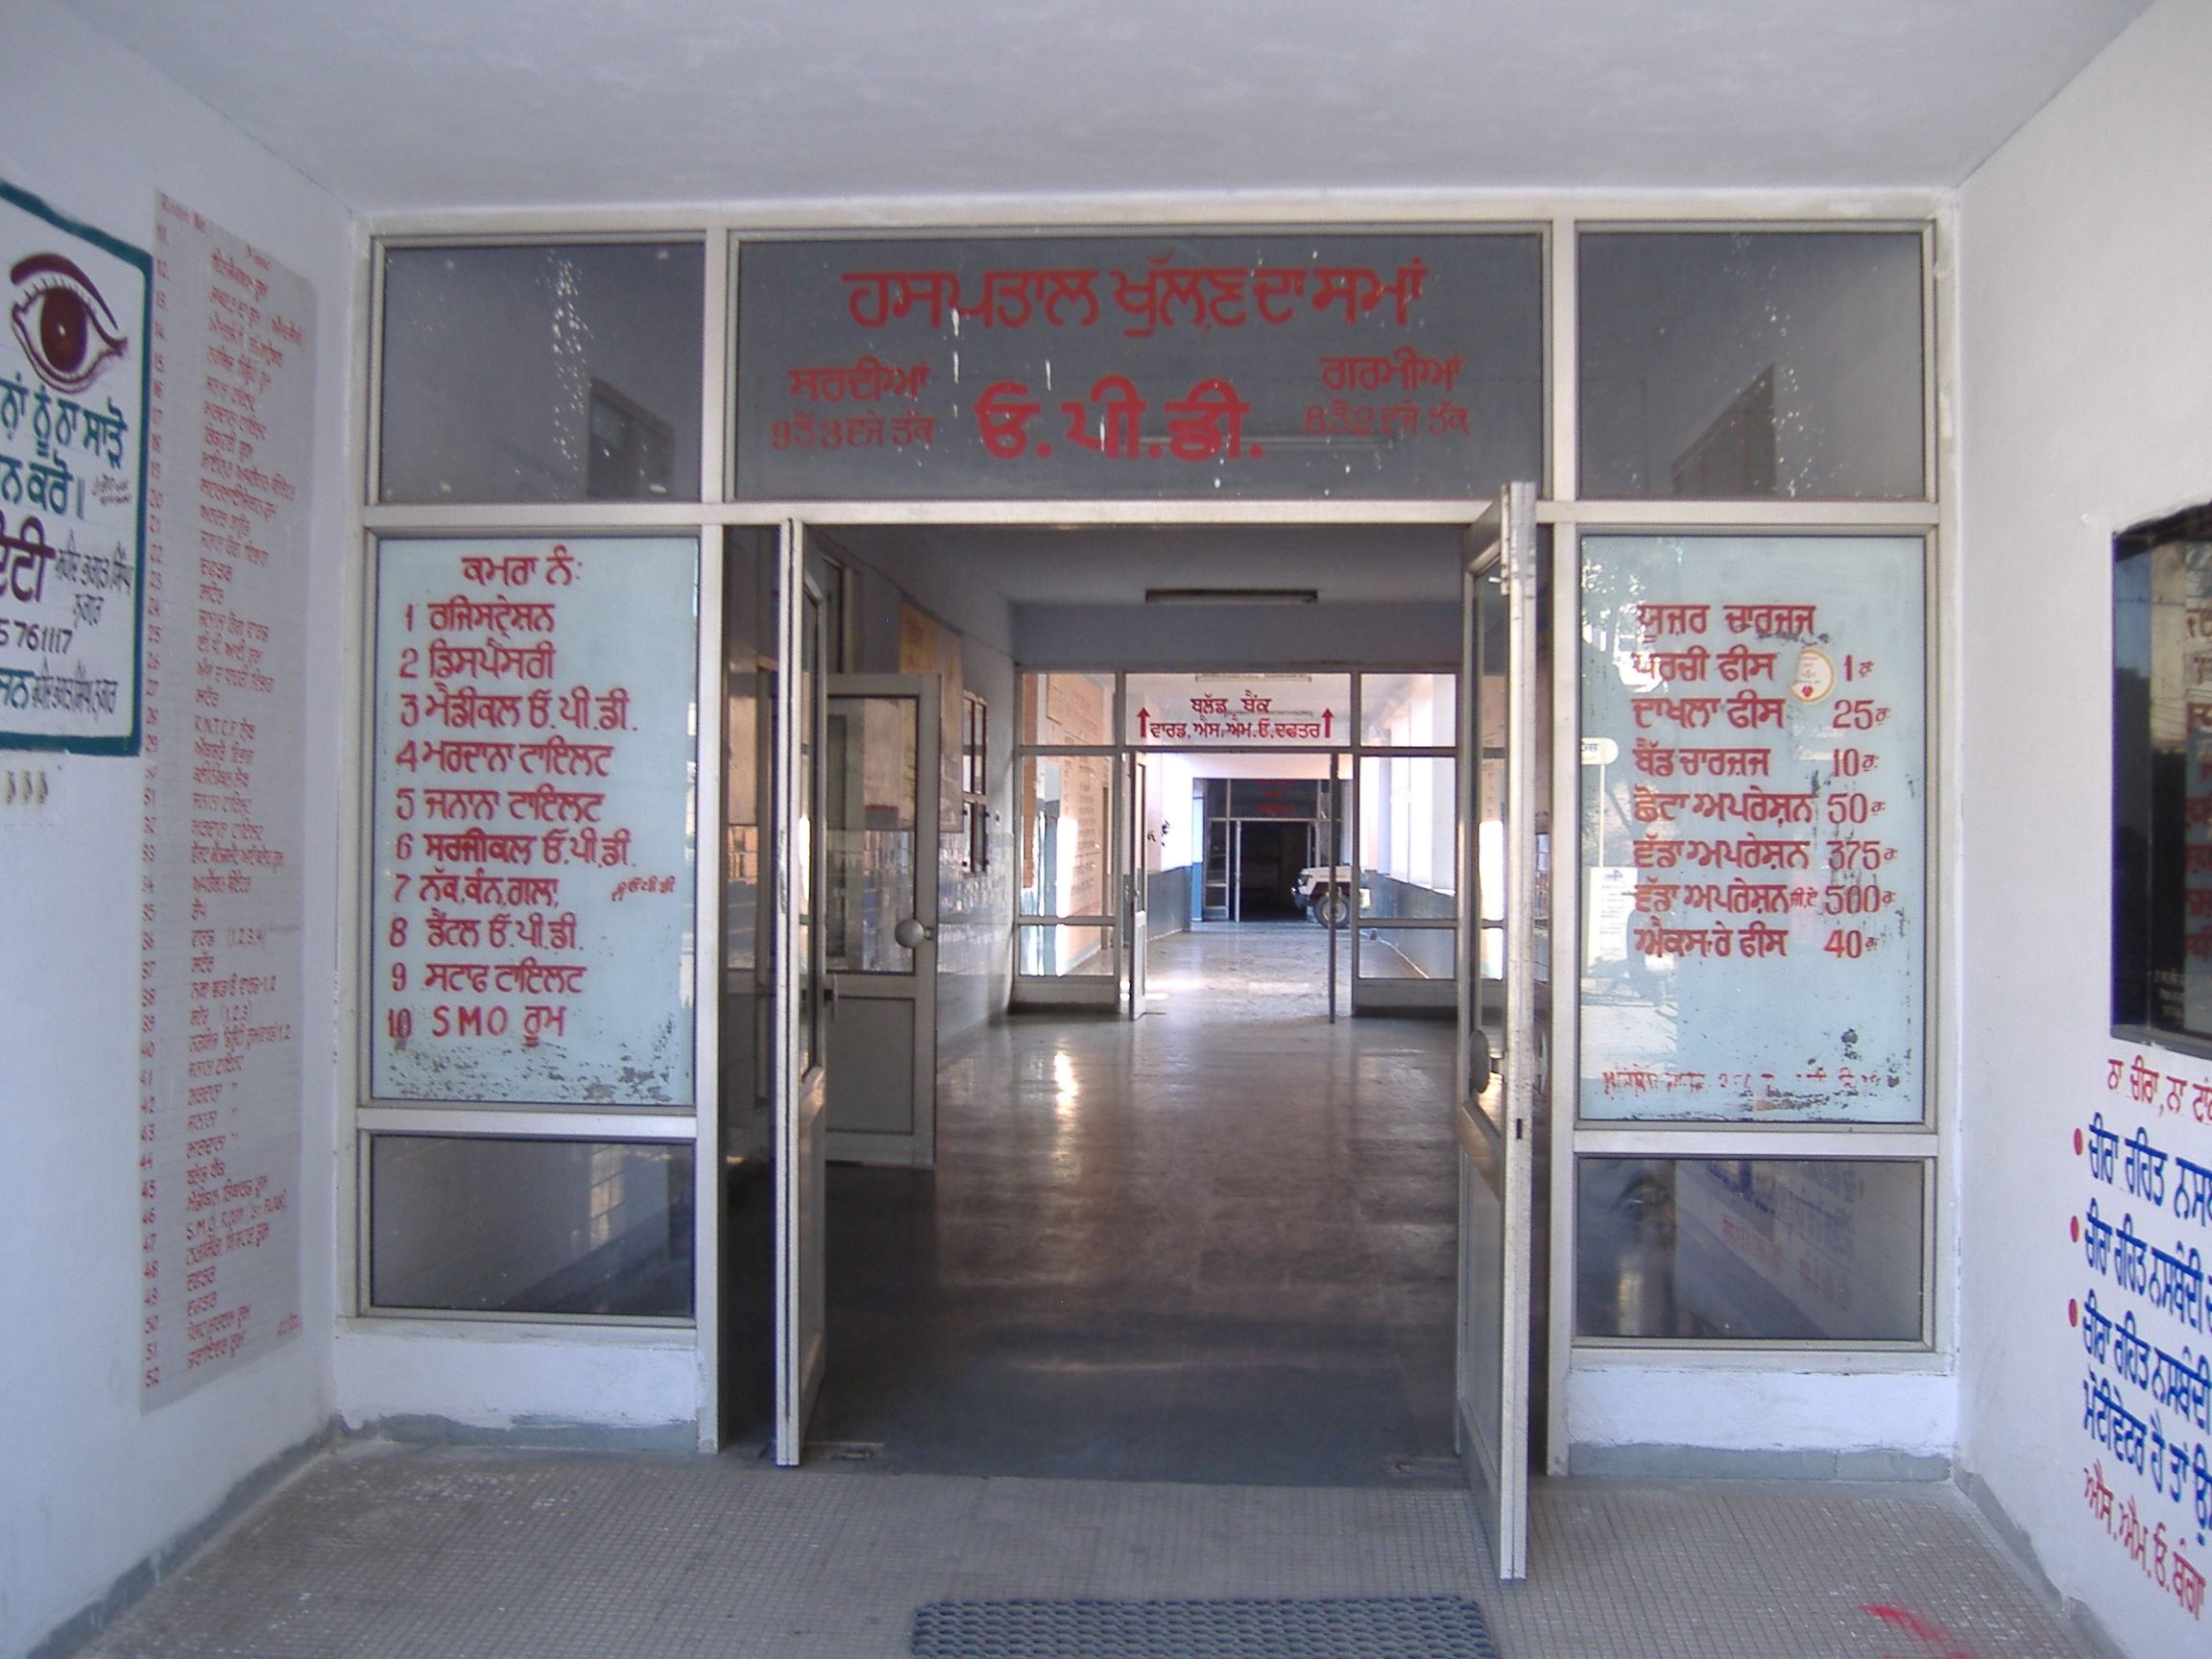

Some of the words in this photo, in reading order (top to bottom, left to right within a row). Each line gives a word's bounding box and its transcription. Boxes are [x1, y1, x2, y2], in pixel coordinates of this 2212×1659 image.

[817, 256, 1107, 341] ਹਸਪਤਾਲ
[1102, 242, 1449, 346] ਖੁਲਣਦਾਸਮਾ
[778, 338, 936, 410] ਸਰਦੀਆਂ
[1312, 336, 1474, 397] ਗਰਮੀਆਂ
[26, 379, 55, 464] ਨੂੰ
[50, 395, 84, 449] ਨਾ
[76, 391, 136, 473] ਸਾੜੋ
[759, 401, 950, 463] 9ਤੇਂ3 ਵਜੇ ਤੱਕ
[961, 359, 1284, 482] ਓ.ਪੀ.ਡੀ.
[1293, 391, 1481, 452] 8ਤੇ2 ਵਜੇ ਤੱਕ
[24, 446, 80, 519] ਕਰੋ
[9, 512, 58, 612] ਟੀ
[454, 544, 542, 589] ਕਮਰਾ
[541, 539, 589, 593] ਨੰ:
[11, 616, 77, 660] 761117
[397, 600, 421, 637] 1
[395, 641, 424, 685] 2
[424, 633, 564, 685] ਡਿਸਪੈਂਸਰੀ
[425, 590, 566, 642] ਠਜਿਸਟੇ੍ਸ਼ਨ
[1627, 636, 1788, 688] ਪਰਚੀ ਫੀਸ
[1627, 595, 1823, 650] ਯੂਜ਼ਰ ਚਾਰਜਜ
[1833, 644, 1882, 688] 1 ਰੁ:
[385, 734, 421, 781] 4
[387, 687, 425, 732] 3
[421, 731, 516, 777] ਮਰਦਾਨਾ
[422, 679, 525, 734] ਮੈਡੀਕਲ
[515, 729, 619, 782] ਟਾਇਲਟ
[524, 681, 645, 737] ਓ.ਪੀ.ਡੀ.
[1146, 717, 1190, 742] ਵਾਰਡ
[1180, 686, 1233, 718] ਬਲੱਡ
[1190, 715, 1223, 741] ਅੇਸ
[1223, 711, 1257, 740] ਐਮ.
[1235, 683, 1274, 716] ਬੈਂਕ
[1255, 715, 1274, 743] ਓ.
[1274, 716, 1322, 745] ਦਫਤਰ
[1623, 732, 1778, 782] ਬੈਂਡਚਾਰਜ਼ਜ
[1628, 683, 1796, 739] ਦਾਖਲਾਢੀਮ
[1827, 736, 1887, 785] 10a:
[1824, 690, 1900, 741] 25 व:
[389, 781, 419, 829] 5
[419, 781, 506, 823] ਜਨਾਨਾ
[505, 780, 613, 827] ਟਾਇਲਟ
[1627, 776, 1827, 829] ਛੋਟਾ ਅਪਰੇਸ਼ਨ
[1820, 785, 1893, 832] 50
[393, 830, 420, 865] 6
[421, 825, 541, 867] ਸਰਜੀਕਲ
[539, 823, 641, 874] ਓ਼ਪੀ਼ਡੀ
[1624, 828, 1821, 878] ਵੱਡਾ ਅਪਰੇਸ਼ਨ
[1820, 830, 1904, 878] 375a.
[385, 863, 420, 907] 7
[412, 862, 465, 907] ਨੱਕ
[462, 864, 508, 909] ਕੰਨ
[504, 871, 562, 910] ਗਲਾ
[1626, 872, 1823, 919] ਵੱਡਾ ਅਪਰੇਸ਼ਨ ਜੀ.ਏ
[1819, 876, 1901, 922] 500 a:
[380, 912, 413, 950] 8
[418, 904, 484, 957] ਡੈਂਟਲ
[483, 906, 588, 955] ਓ.ਪੀ.ਡੀ.
[1623, 913, 1803, 968] ਐਕਸਰੇਫੀਸ
[1817, 923, 1886, 967] 40
[385, 958, 414, 996] 9
[419, 958, 491, 998] ਸਟਾਫ
[490, 952, 594, 1000] ਟਾਇਲਟ
[381, 1002, 418, 1043] 10
[427, 1000, 512, 1051] SMO
[514, 998, 575, 1057] ਰੂਮ
[2098, 1053, 2128, 1099] ਨਾ
[2126, 1048, 2166, 1112] ਚੀਰਾ
[2161, 1060, 2194, 1120] ਨਾ
[2082, 1105, 2123, 1190] ਚੀਰਾ
[2122, 1118, 2175, 1216] ਰਹਿਤ
[2079, 1190, 2118, 1282] ਚੀਰਾ
[2111, 1209, 2151, 1302] ਰਹਿਝ
[2144, 1229, 2211, 1336] ਨਸਬੰਦੀ
[2075, 1286, 2117, 1370] ਚੀਗਾ
[2109, 1305, 2154, 1393] ਰਰਿਤ
[2144, 1336, 2211, 1438] ਨਸਬੰਦੀ
[2068, 1362, 2150, 1484] ਮੋਟੀਵੇਟਰ
[2070, 1446, 2121, 1544] ਐਸ
[2142, 1404, 2170, 1503] ਹੈ
[2163, 1432, 2193, 1514] ਤਾਂ
[2112, 1488, 2153, 1581] ਐੈਮ
[2146, 1514, 2179, 1595] ਓ
[2167, 1533, 2209, 1628] ਬੇਗਾ